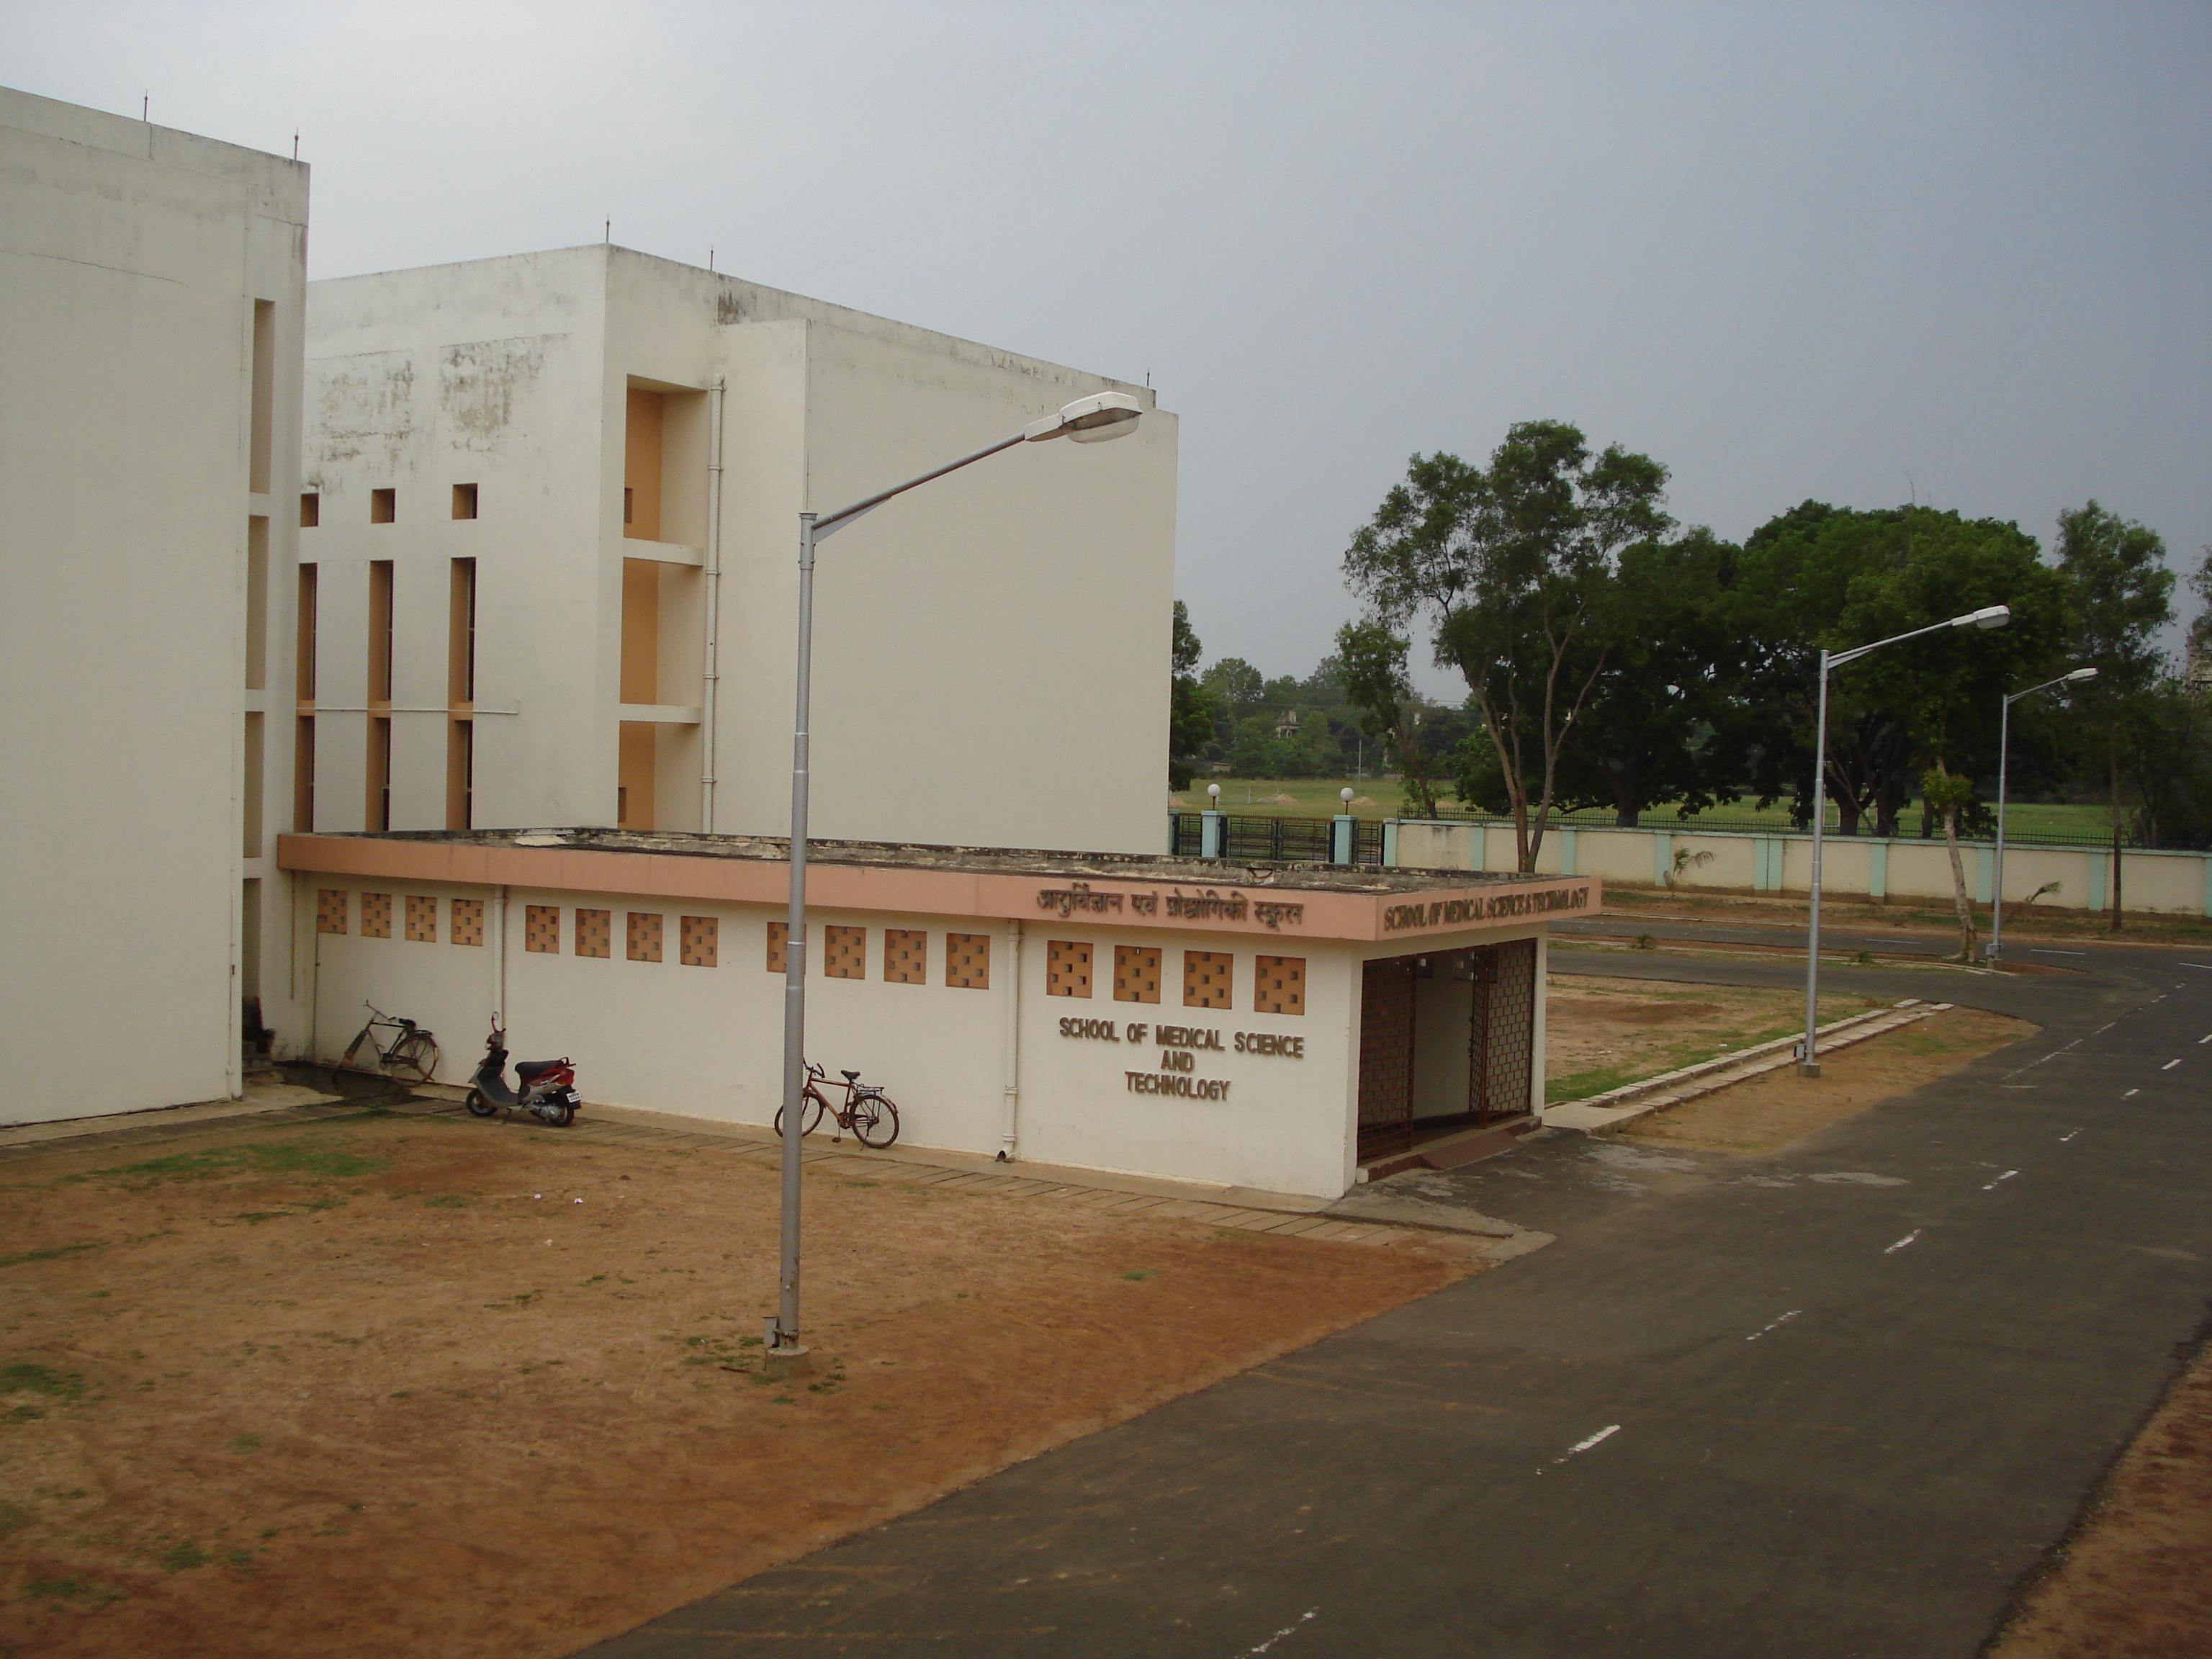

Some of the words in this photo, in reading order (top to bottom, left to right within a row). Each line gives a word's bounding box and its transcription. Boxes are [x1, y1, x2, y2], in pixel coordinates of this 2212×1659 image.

[1033, 879, 1124, 919] आयुर्विज्ञान
[1128, 890, 1160, 918] एवं
[1164, 885, 1249, 924] प्रोधोगिकी
[1252, 899, 1304, 931] स्‍कूल
[1377, 902, 1429, 934] SCHOOL
[1424, 900, 1442, 927] OF
[1441, 894, 1487, 927] MEDICAL
[1481, 892, 1527, 922] SCENCE
[1529, 885, 1592, 914] TECHNOLOGY
[1056, 1016, 1120, 1041] SCHOOL
[1123, 1022, 1148, 1045] OF
[1156, 1048, 1197, 1074] AND
[1153, 1024, 1227, 1052] MEDICAL
[1233, 1031, 1304, 1061] SCIENCE
[1124, 1069, 1232, 1102] TECHNOLOGY